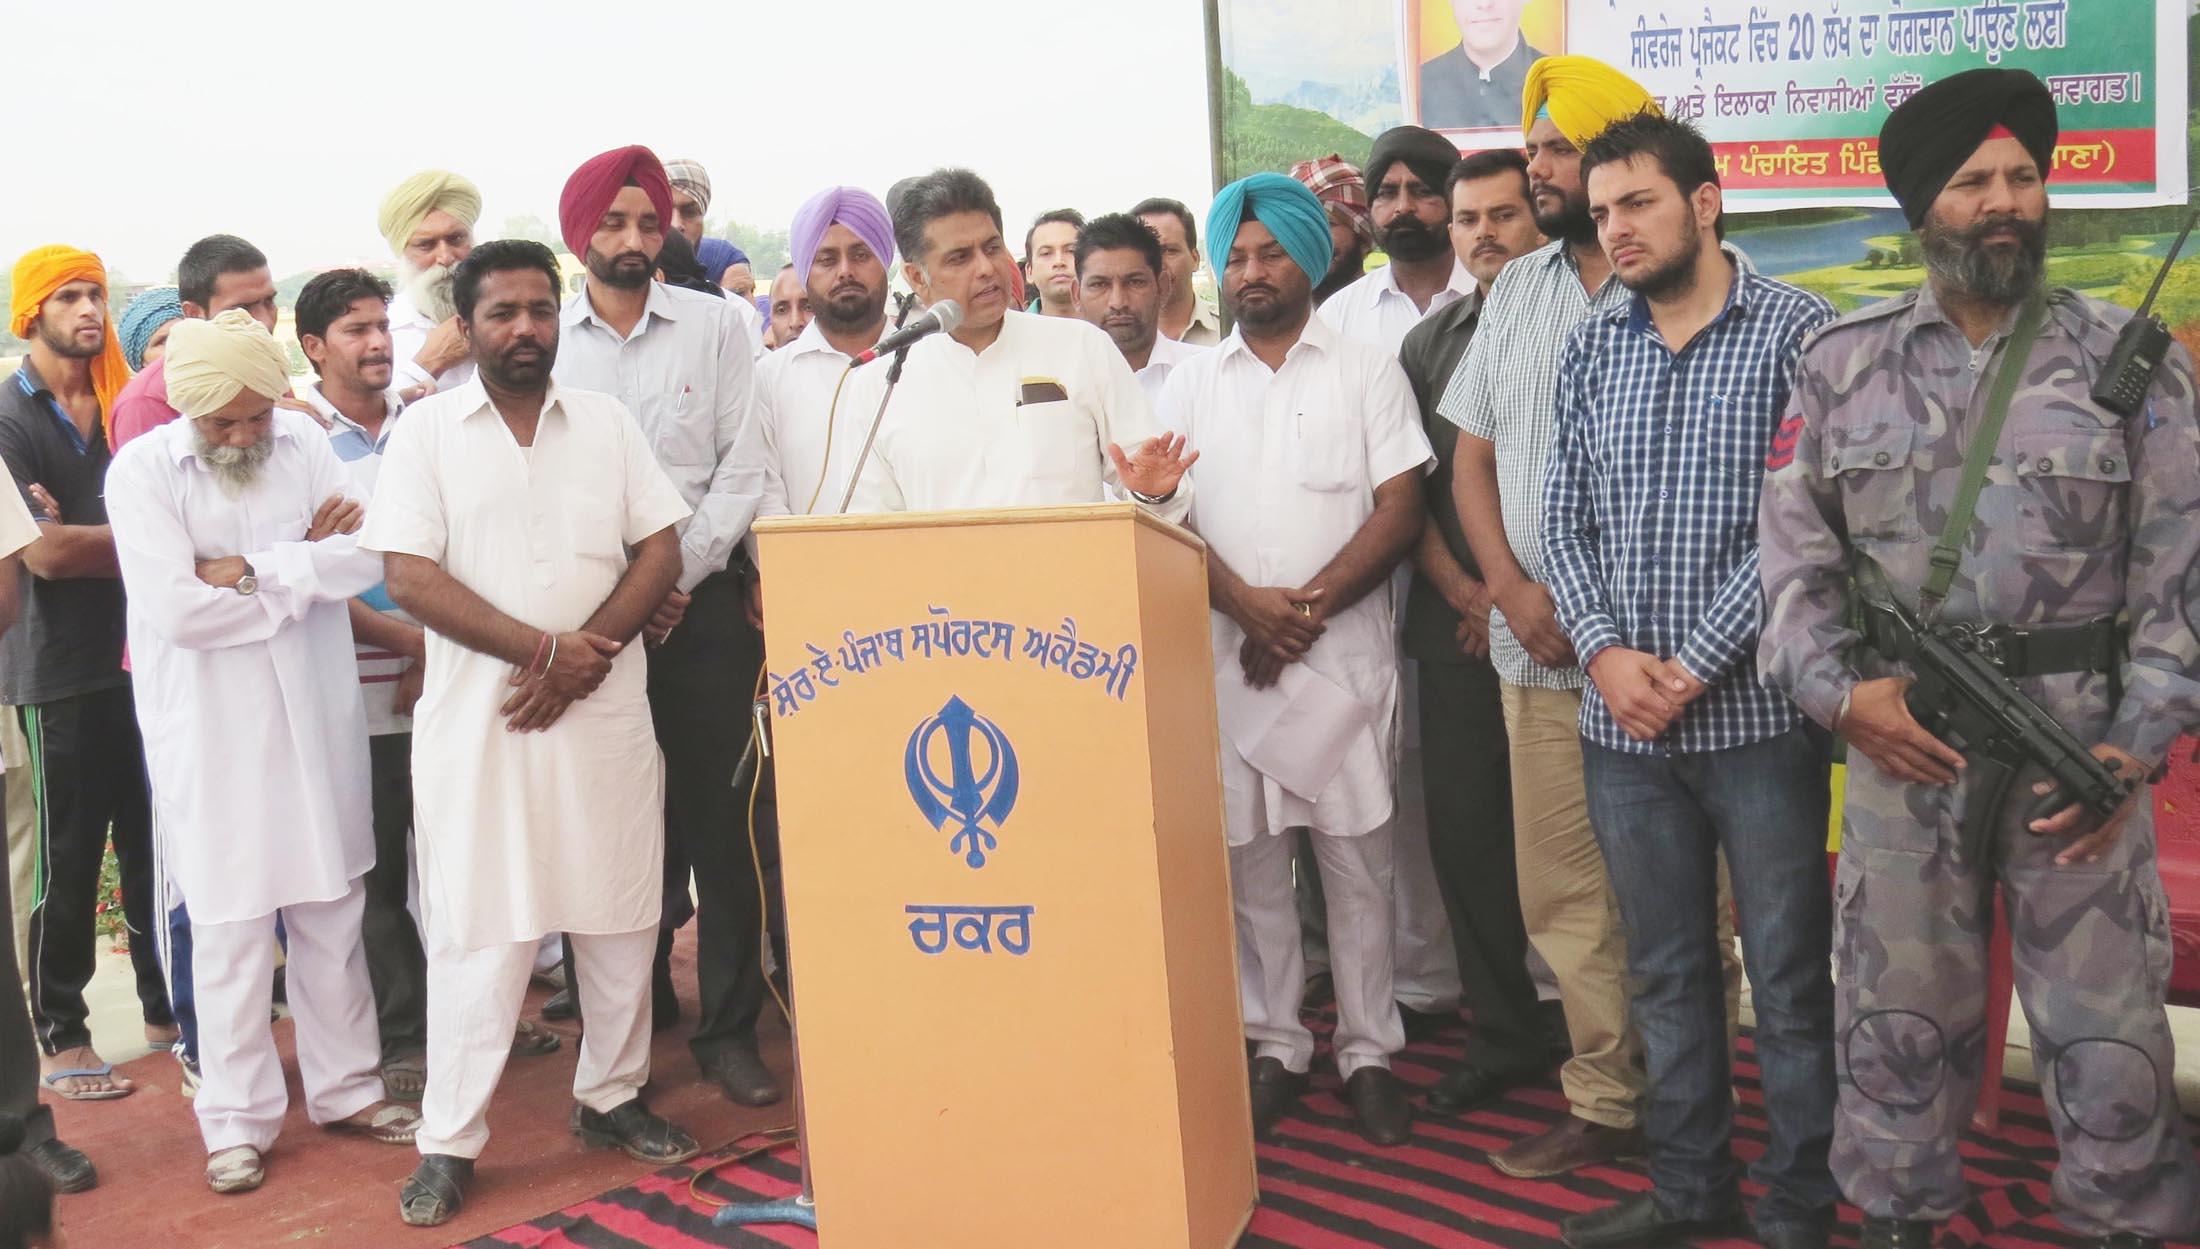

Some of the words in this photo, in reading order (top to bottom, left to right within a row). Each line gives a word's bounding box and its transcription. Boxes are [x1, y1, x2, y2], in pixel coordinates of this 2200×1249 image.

[1622, 7, 1686, 74] ਸੀਵਰੇਜ
[1687, 3, 1743, 86] ਪ੍ਰਜੈਕਟ
[1740, 0, 1783, 72] ਵਿੱਚ
[1781, 9, 1817, 70] 20
[1815, 0, 1857, 66] ਲੱਖ
[1854, 9, 1883, 68] ਦਾ
[1880, 1, 1958, 63] ਯੋਗਦਾਨ
[1957, 0, 2022, 69] ਪਾਉਣ
[2020, 0, 2071, 58] ਲਈ
[1672, 80, 1713, 122] ਅਤੇ
[1709, 78, 1781, 123] ਇਲਾਕਾ
[1779, 70, 1879, 125] ਨਿਵਾਸੀਆਂ
[2041, 66, 2105, 113] ਸਵਾਗ
[1733, 141, 1833, 180] ਪੰਚਾਇਤ
[2050, 138, 2104, 175] ਣਾ
[767, 635, 848, 731] ਸੇਰਏ
[829, 618, 907, 679] ਪੰਜਾਬ
[903, 599, 1022, 670] ਸਪੋਰਟਸ
[1013, 608, 1139, 707] ਅਕੈਡਮੀ
[893, 889, 1036, 964] ਚਕਰ